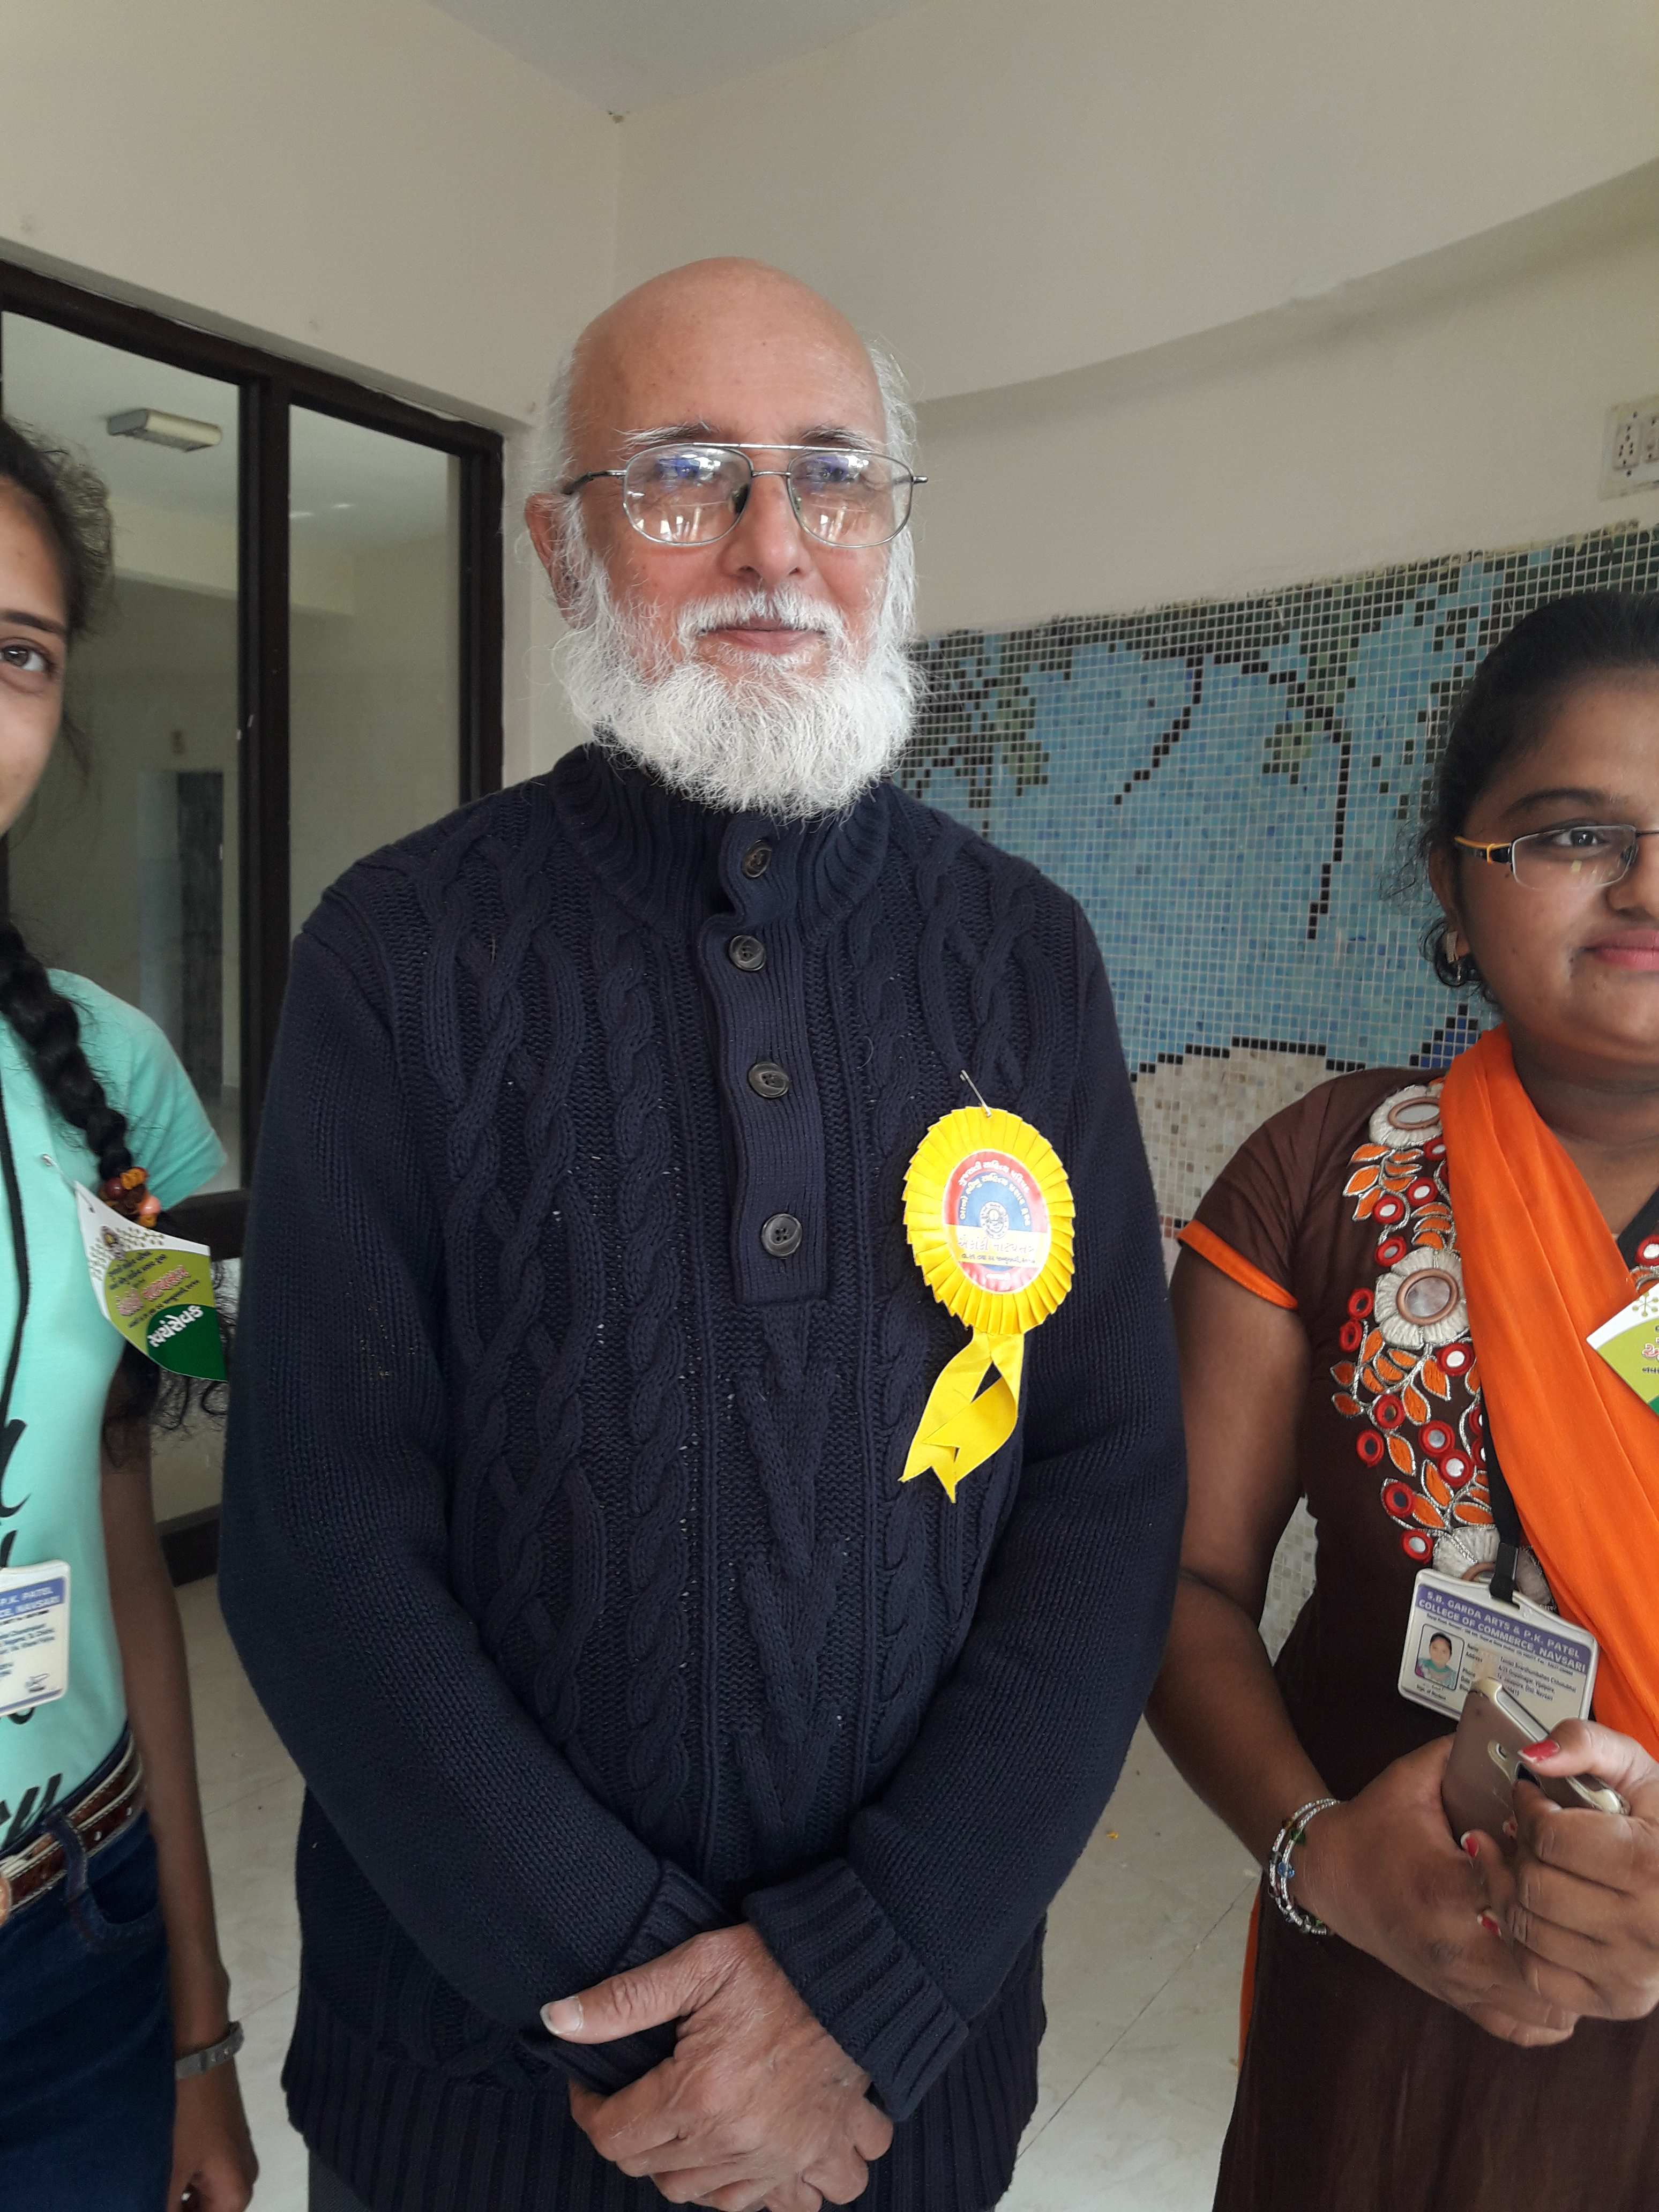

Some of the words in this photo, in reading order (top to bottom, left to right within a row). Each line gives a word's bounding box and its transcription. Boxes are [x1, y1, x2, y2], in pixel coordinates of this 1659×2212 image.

[955, 1159, 983, 1187] ગુજરાતી
[982, 1157, 1012, 1175] સાહિત્ય
[1009, 1169, 1032, 1196] પરિષદ
[146, 1301, 207, 1350] સ્વયંસેવક
[1416, 1597, 1462, 1624] COLLEGE
[1425, 1588, 1482, 1621] S.B.GARDA OLLEGE
[1462, 1615, 1477, 1628] OF
[1483, 1613, 1512, 1631] ARTS
[1475, 1621, 1538, 1653] COMMERCE,
[1512, 1624, 1523, 1635] &
[1521, 1628, 1548, 1646] P.K.
[1536, 1644, 1587, 1675] NAVSARI
[1545, 1636, 1581, 1660] PATEL